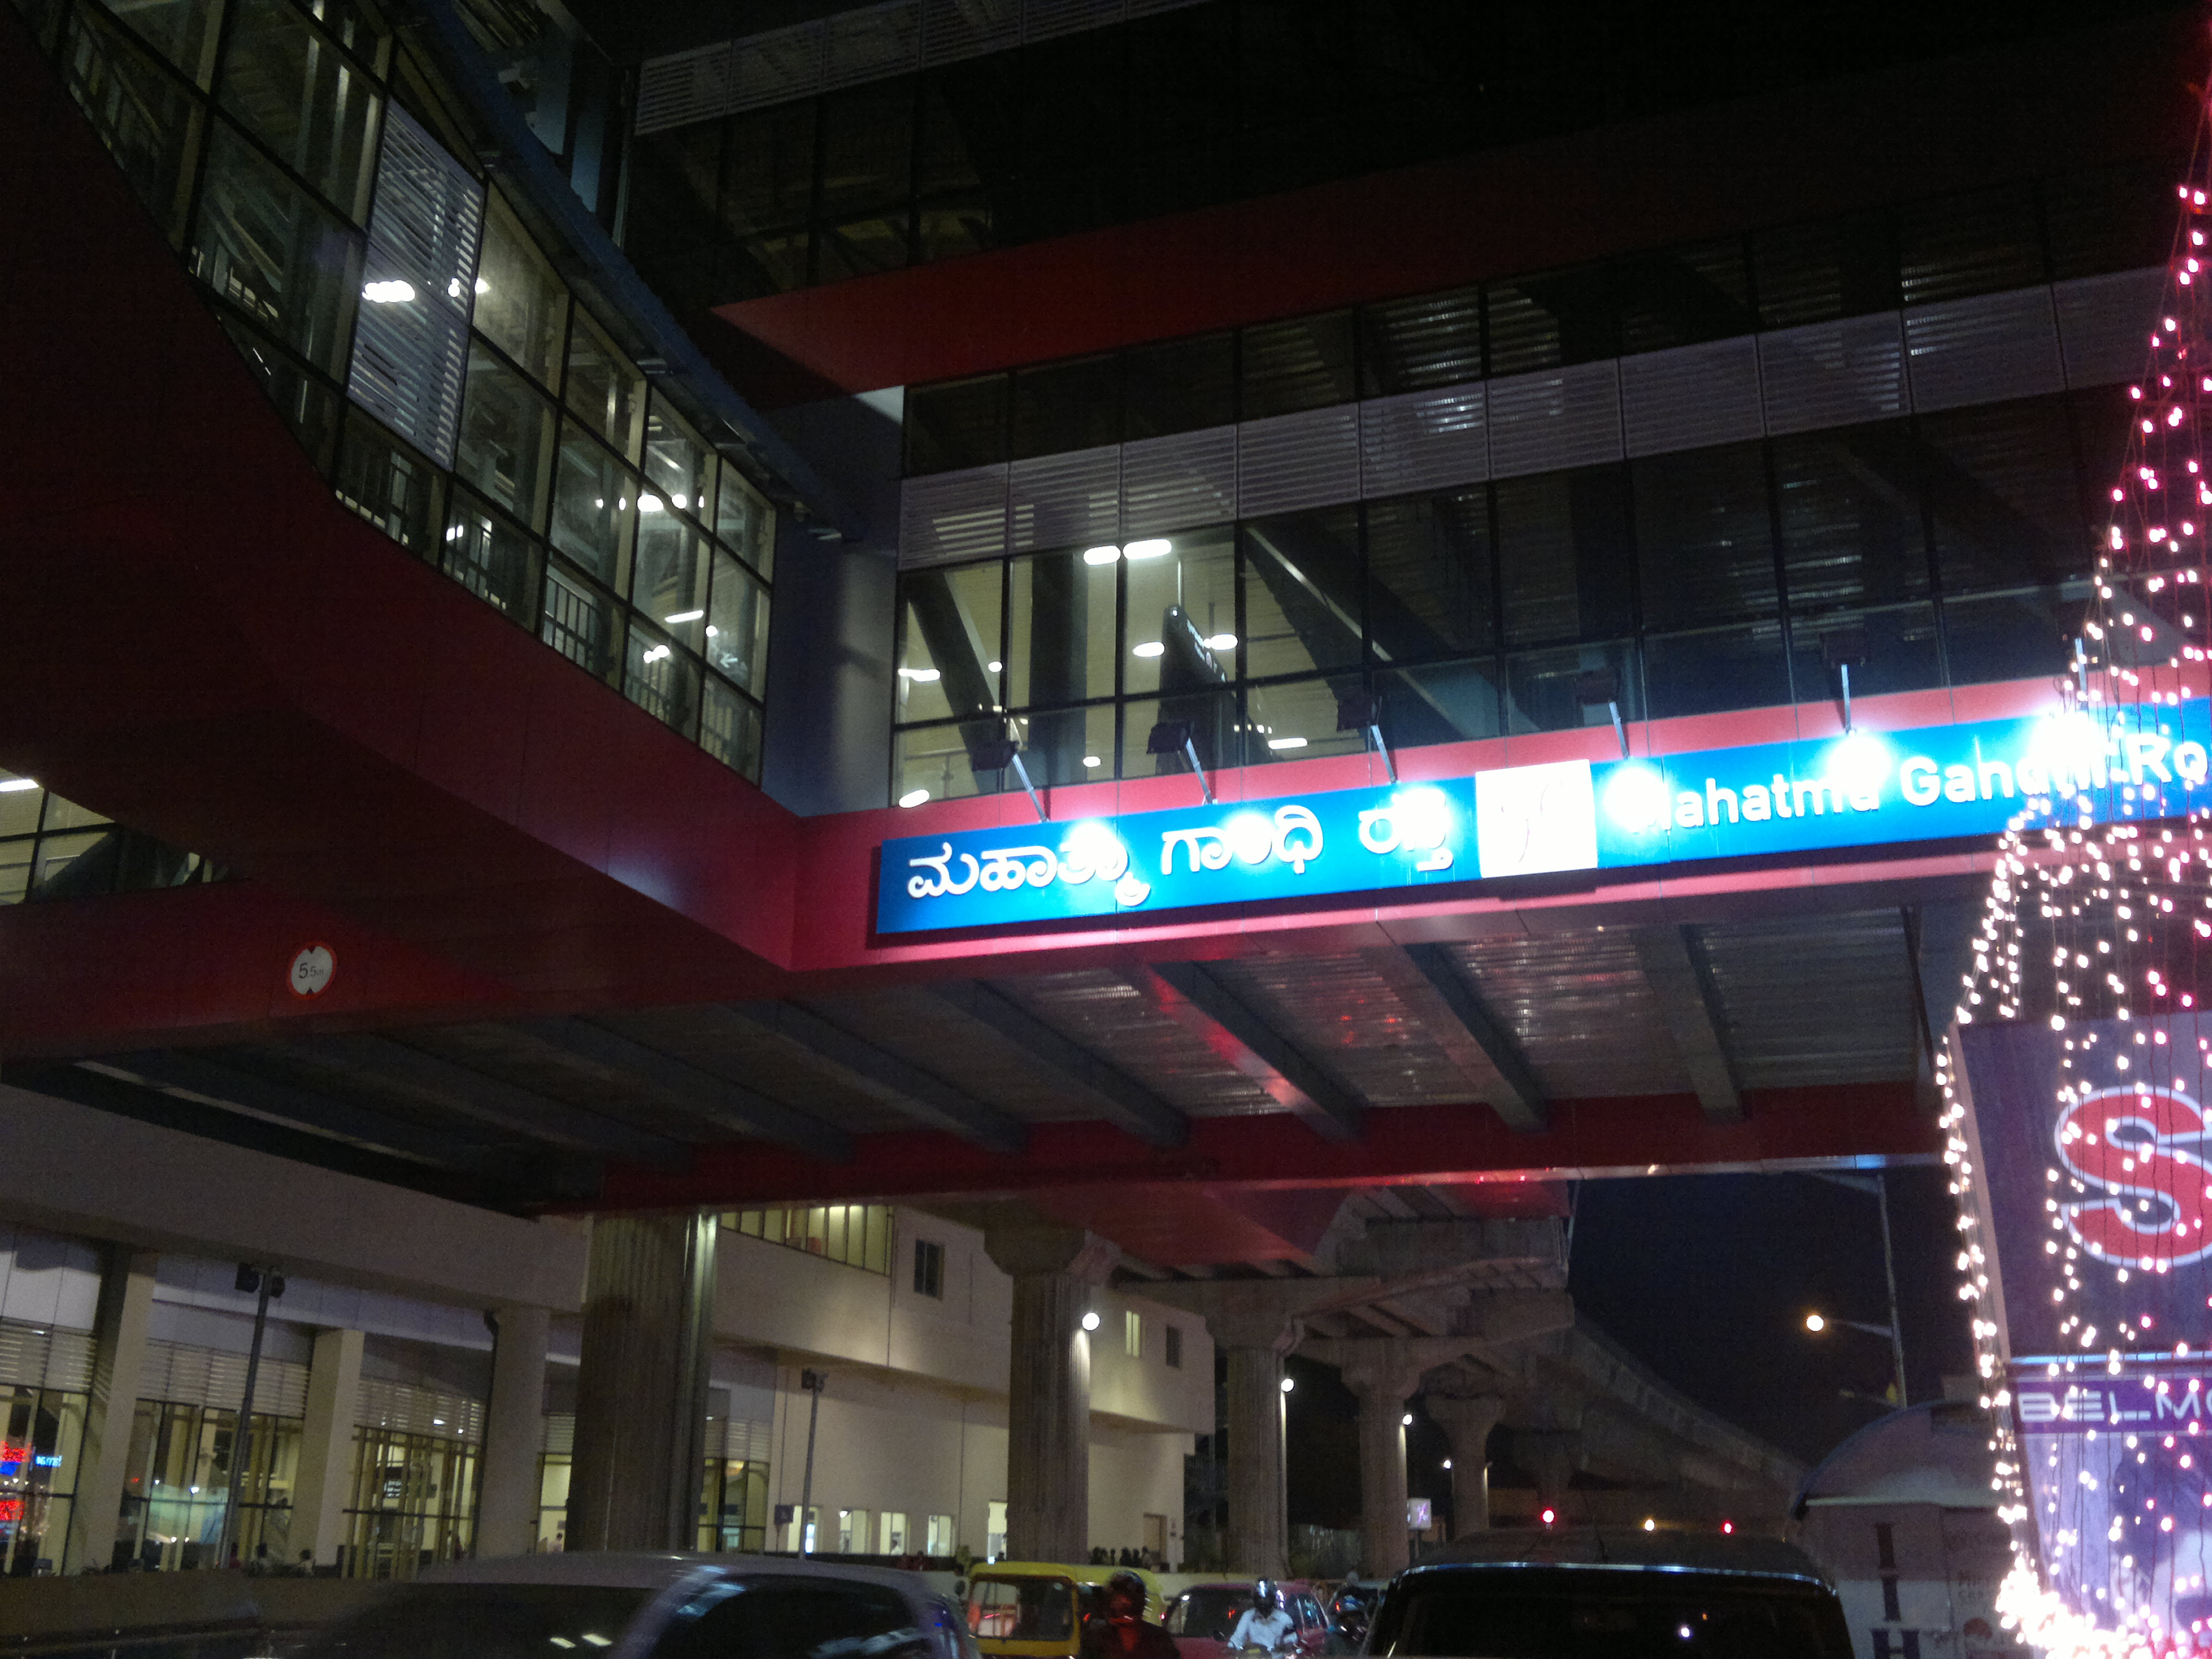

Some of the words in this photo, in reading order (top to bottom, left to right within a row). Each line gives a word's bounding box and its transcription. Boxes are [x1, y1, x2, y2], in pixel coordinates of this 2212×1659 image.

[901, 816, 1155, 911] ಮಹಾತ್ಮ
[1155, 801, 1325, 882] ಗಾಂಧಿ
[1614, 768, 1883, 842] Mahatma
[1897, 738, 2111, 815] Ganden
[2121, 731, 2208, 787] RQ